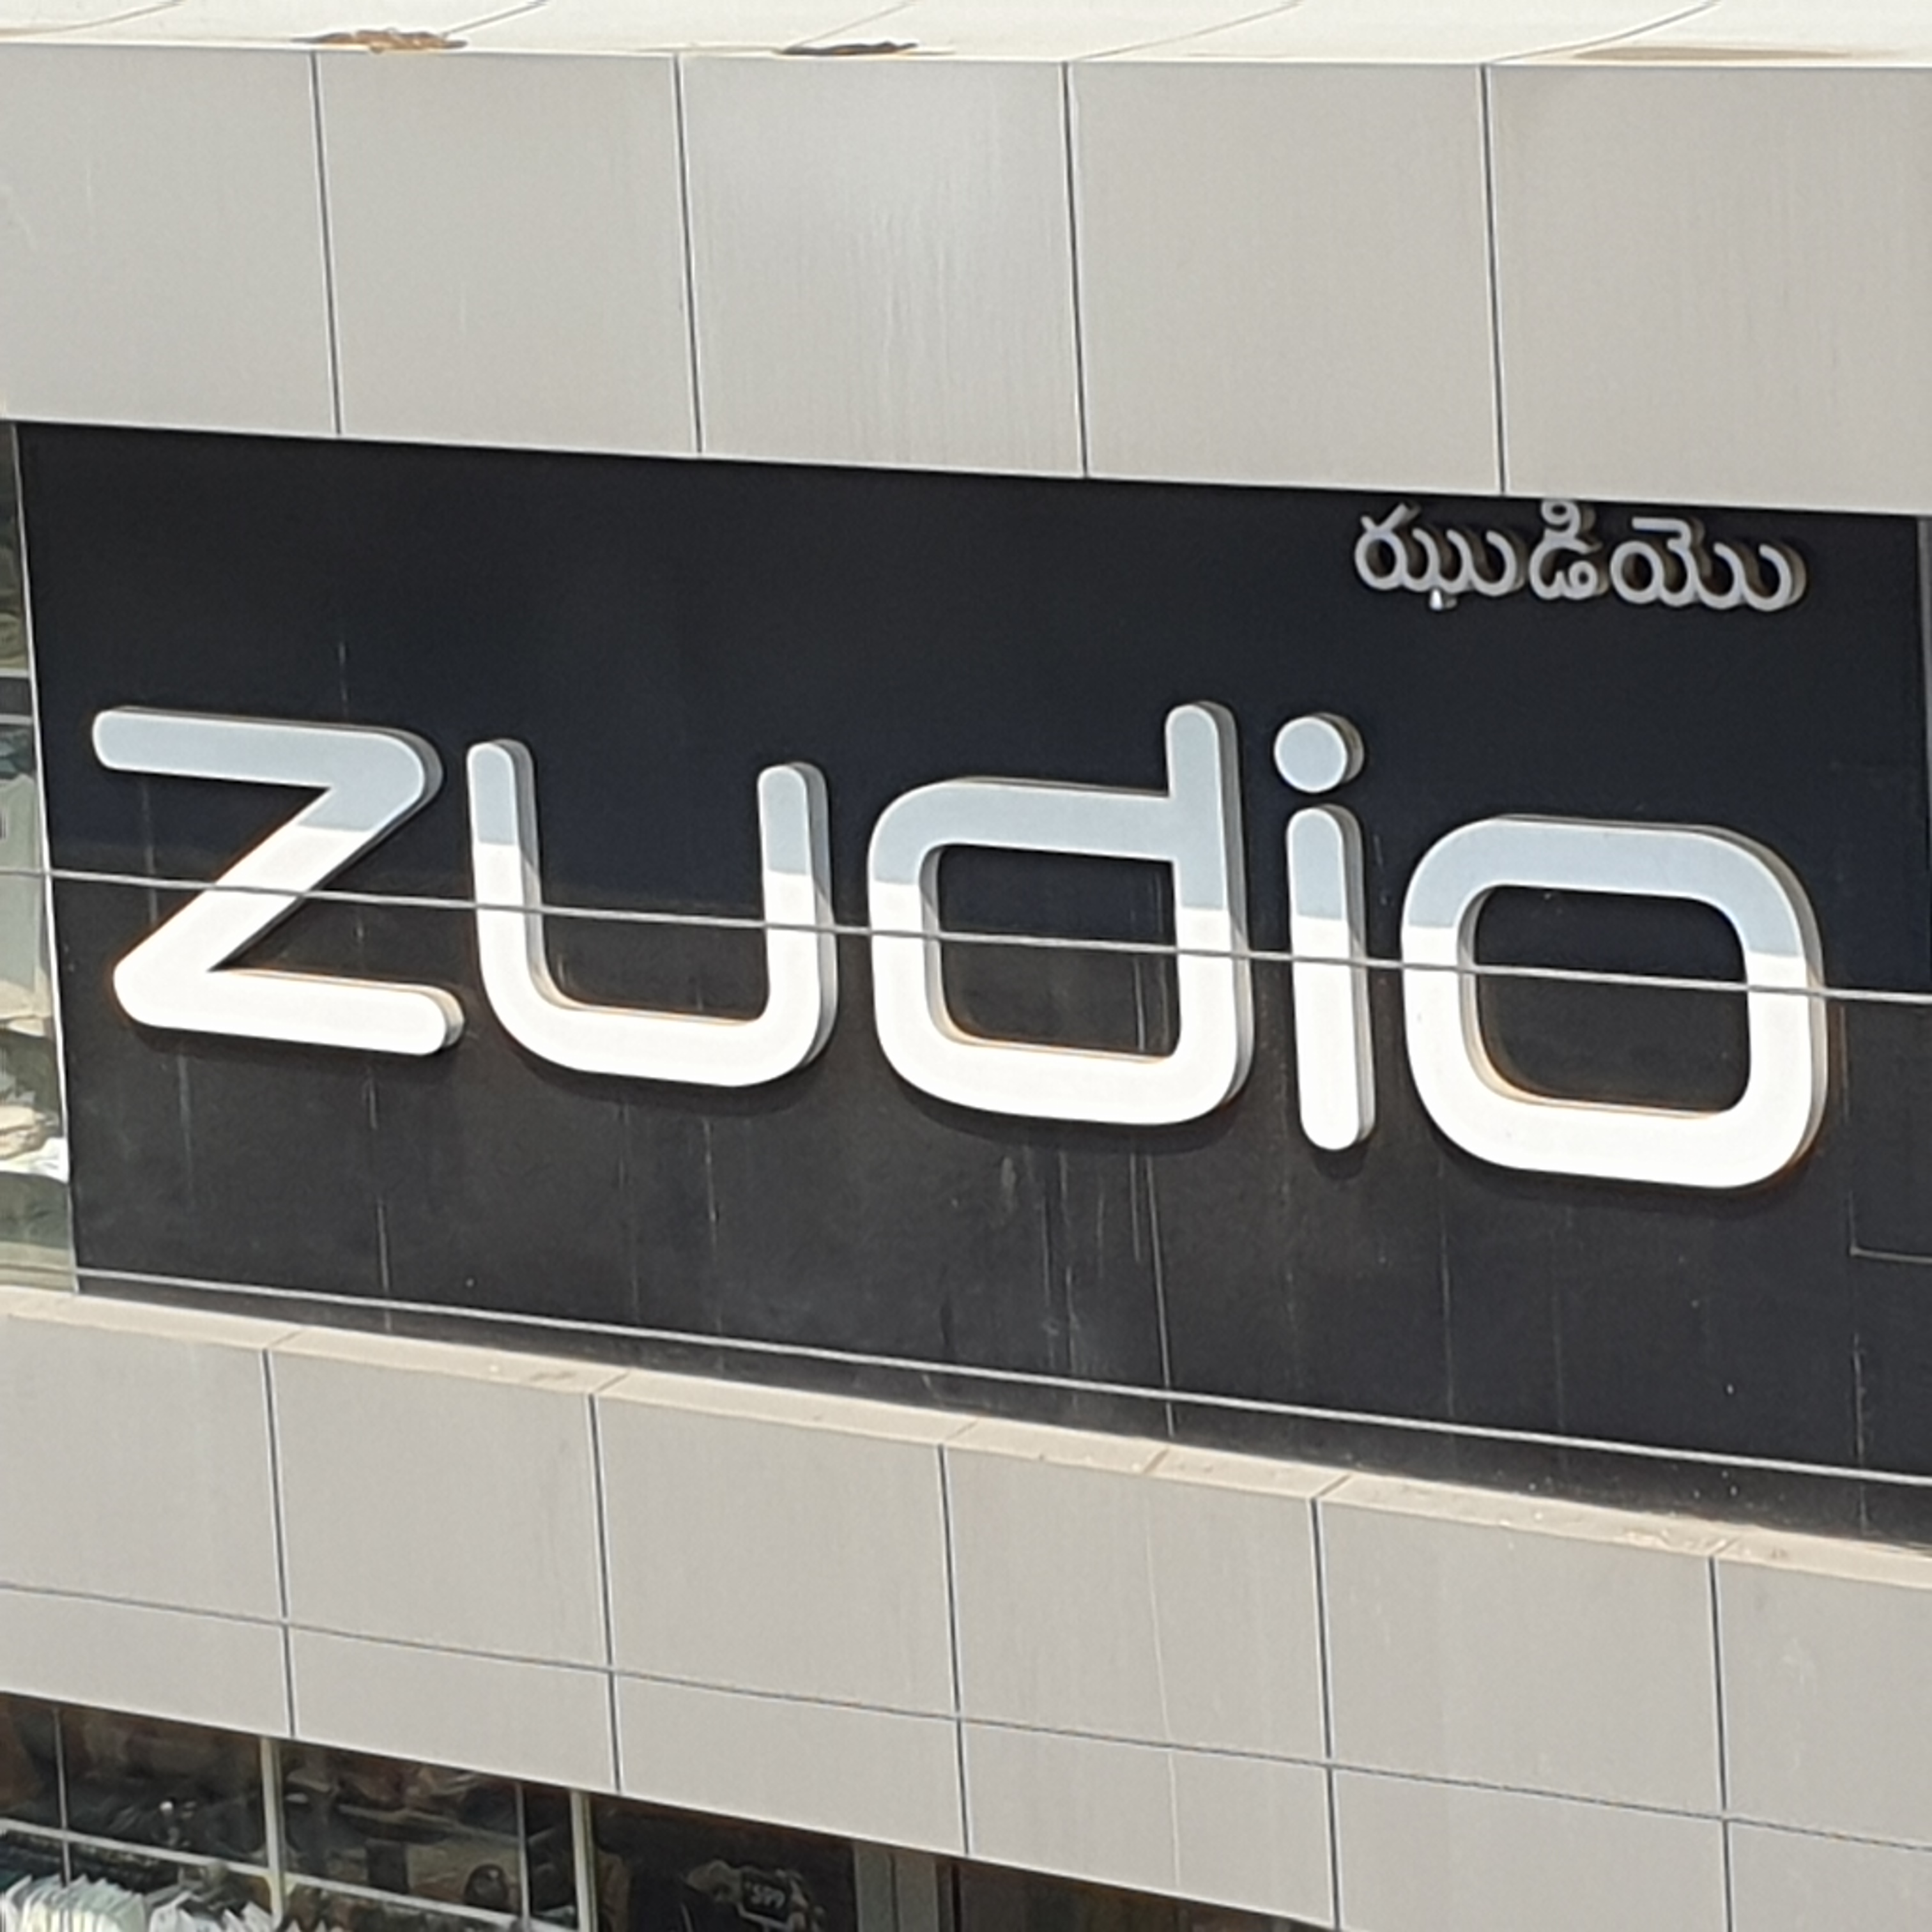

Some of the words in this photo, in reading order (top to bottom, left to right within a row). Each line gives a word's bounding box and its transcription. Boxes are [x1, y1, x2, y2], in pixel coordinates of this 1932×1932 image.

[1348, 486, 1812, 620] ఝడియొ
[97, 693, 1836, 1204] zudio